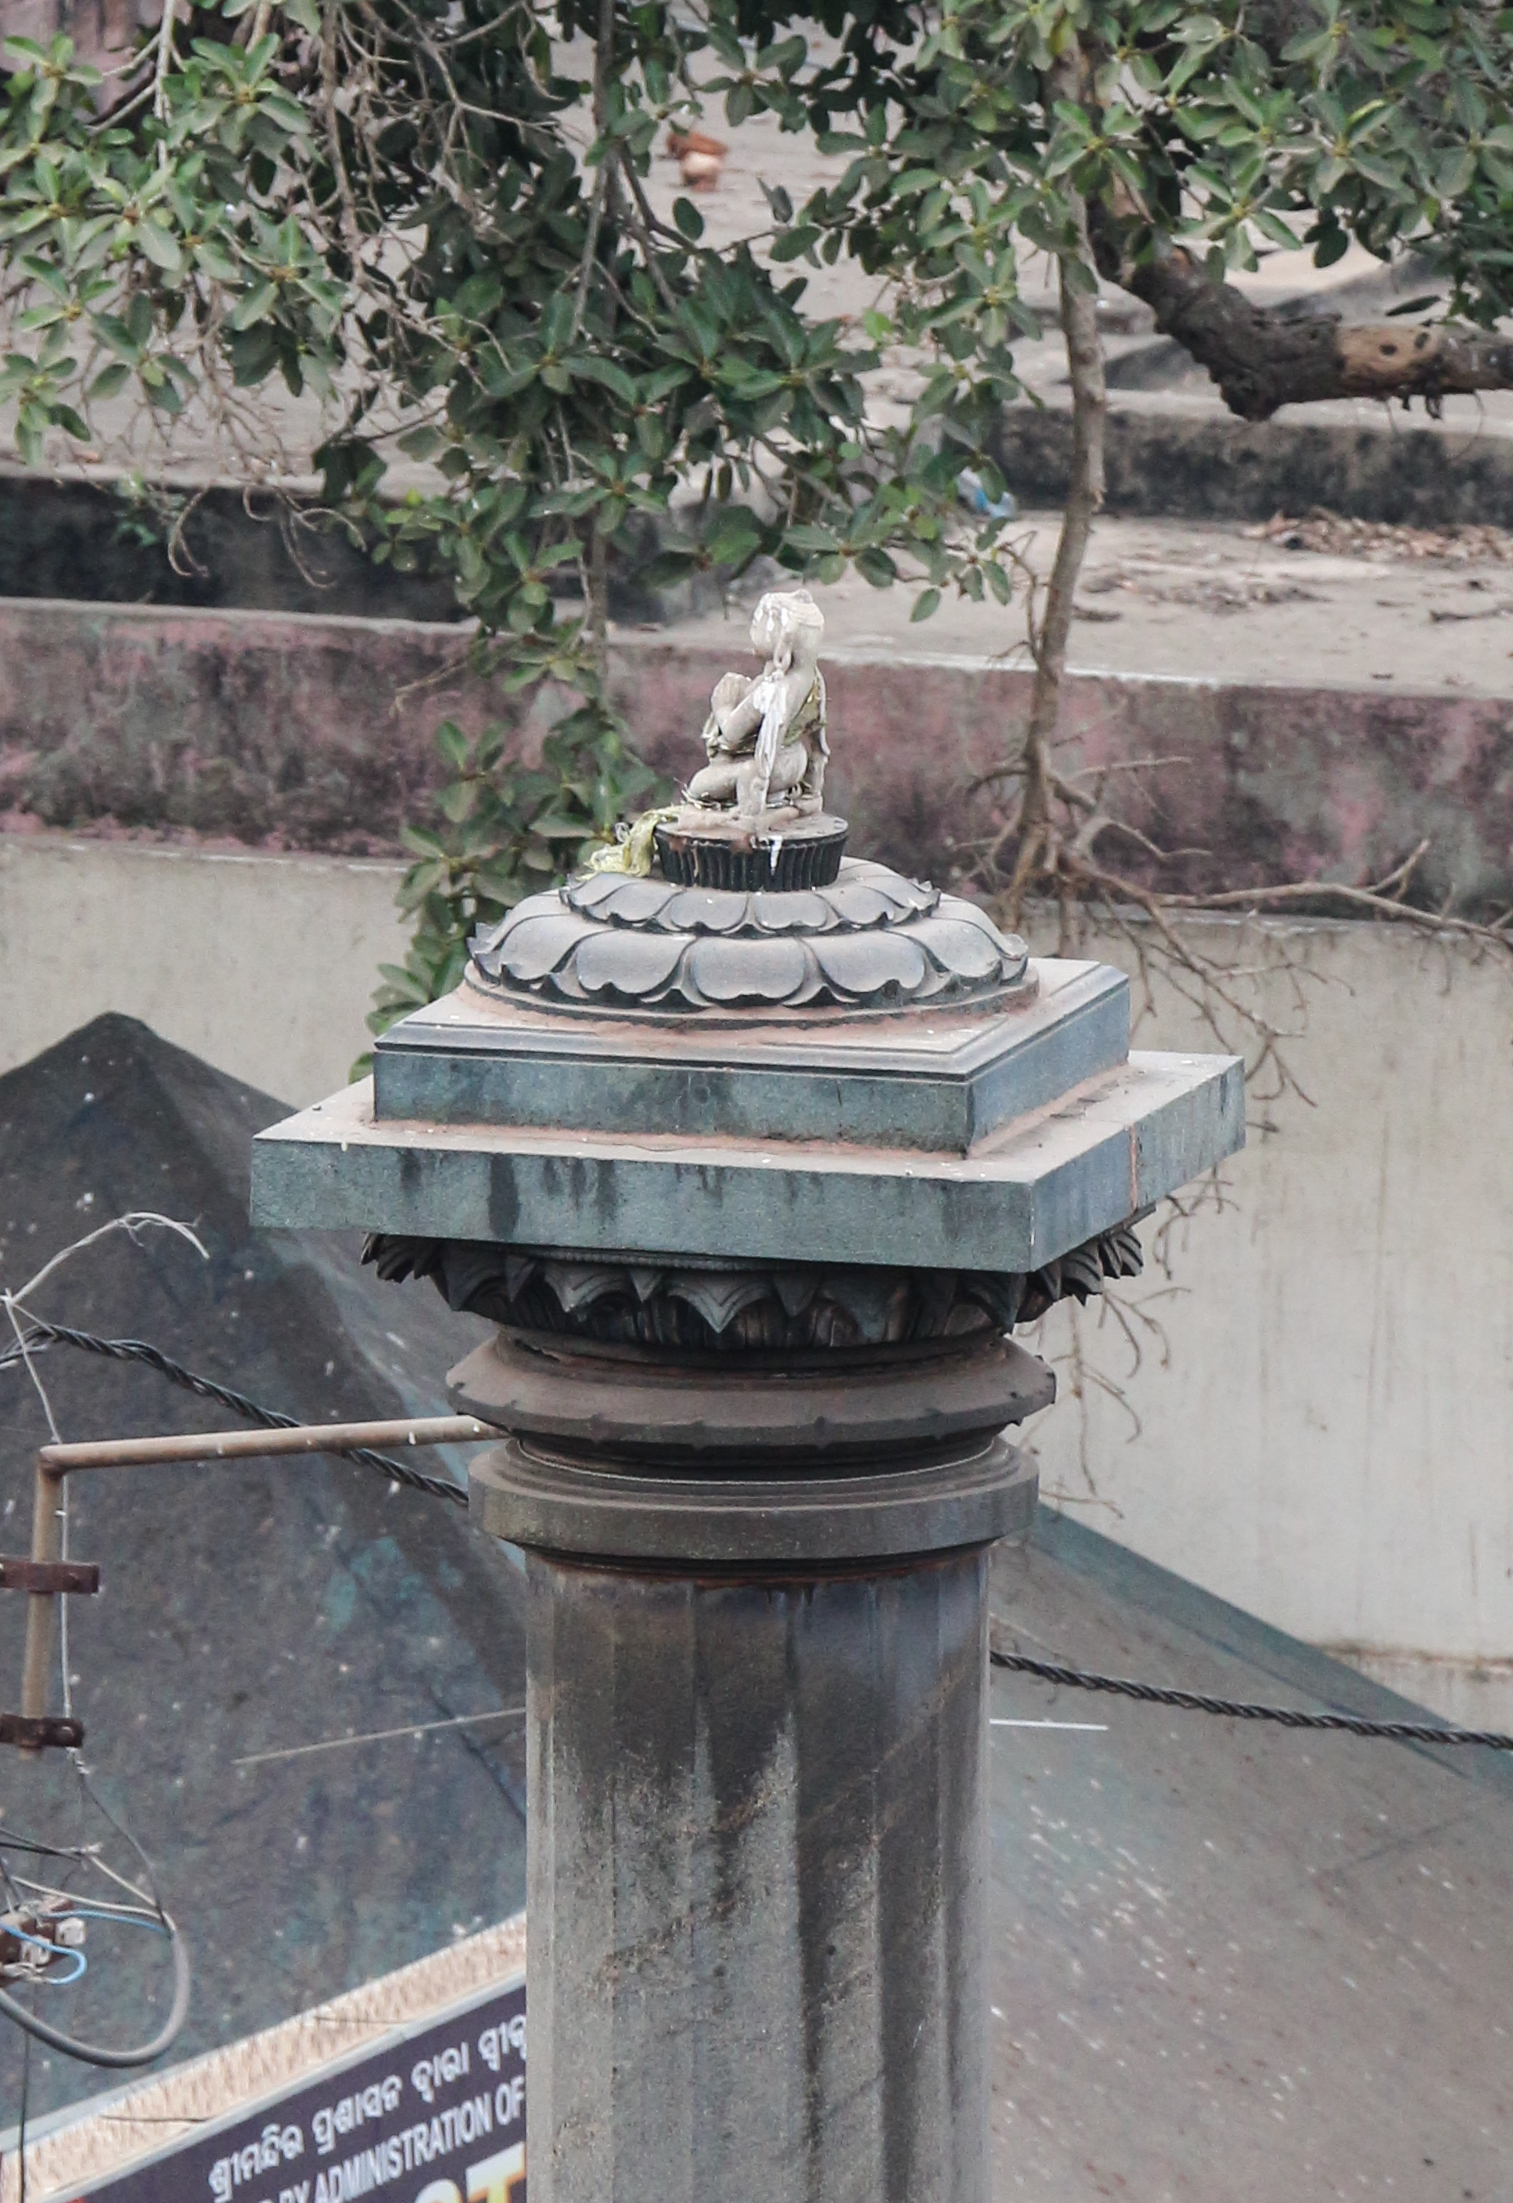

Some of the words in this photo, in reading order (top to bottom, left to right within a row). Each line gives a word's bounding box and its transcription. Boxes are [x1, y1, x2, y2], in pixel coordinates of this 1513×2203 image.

[196, 2115, 309, 2202] ଶ୍ରୀମନ୍ଦିର
[297, 2067, 407, 2160] ପ୍ରଶାସନ
[308, 2084, 496, 2200] ADMINISTRATION
[397, 2033, 478, 2113] ଦ୍ବାରା
[484, 2064, 527, 2135] OF